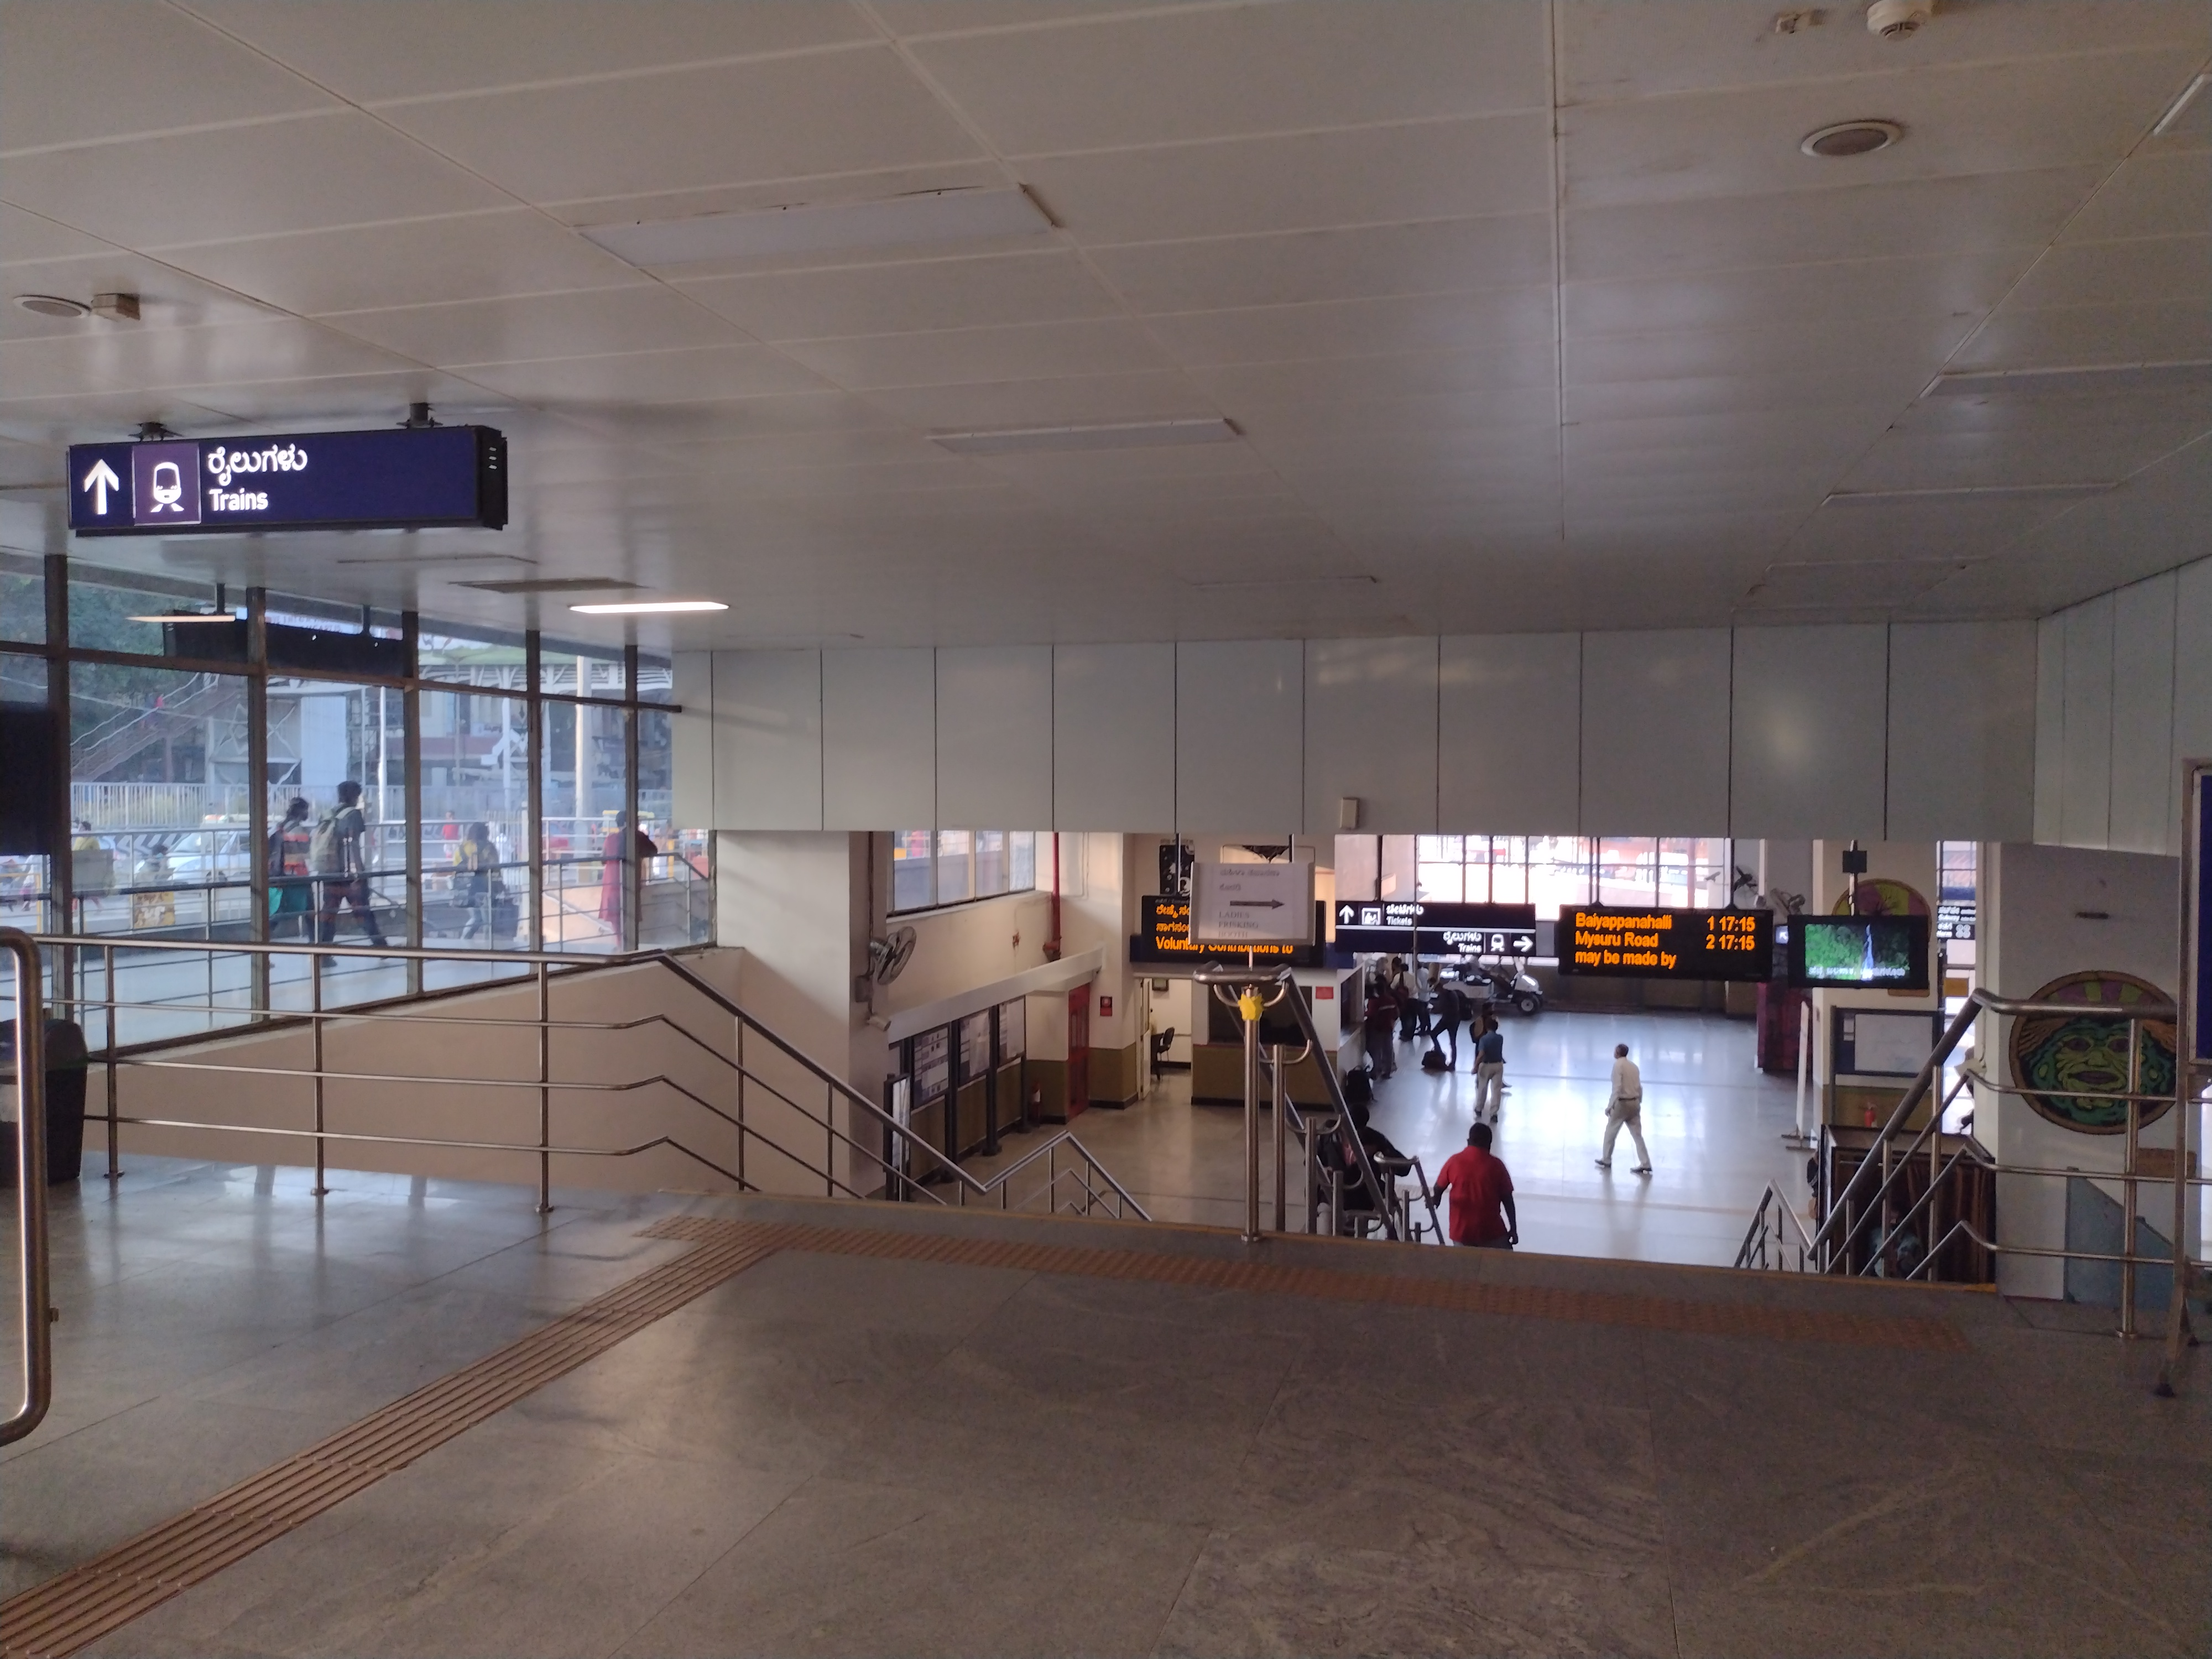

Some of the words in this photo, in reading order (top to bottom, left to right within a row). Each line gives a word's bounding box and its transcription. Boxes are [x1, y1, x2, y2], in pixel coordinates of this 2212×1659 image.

[203, 437, 310, 487] ರೈಲುಗಳು
[206, 477, 273, 517] Trains
[1152, 899, 1190, 921] ರೇಷ್ಮನ
[1152, 919, 1192, 936] ನಾಗನಂತ
[1154, 932, 1209, 955] Voluntury
[1216, 930, 1249, 940] BOOTH
[1215, 909, 1254, 922] LADIES
[1218, 917, 1260, 932] FRISKING
[1442, 925, 1484, 947] ರೈಲುಗಳು
[1455, 942, 1484, 956] Trains
[1572, 950, 1603, 973] may
[1571, 925, 1624, 950] Mysuru
[1602, 947, 1624, 968] be
[1573, 909, 1675, 933] Baiyappanahalli
[1621, 929, 1661, 950] Road
[1621, 948, 1661, 968] made
[1657, 950, 1679, 973] by
[1704, 914, 1759, 954] 1 17:15 2 17:15